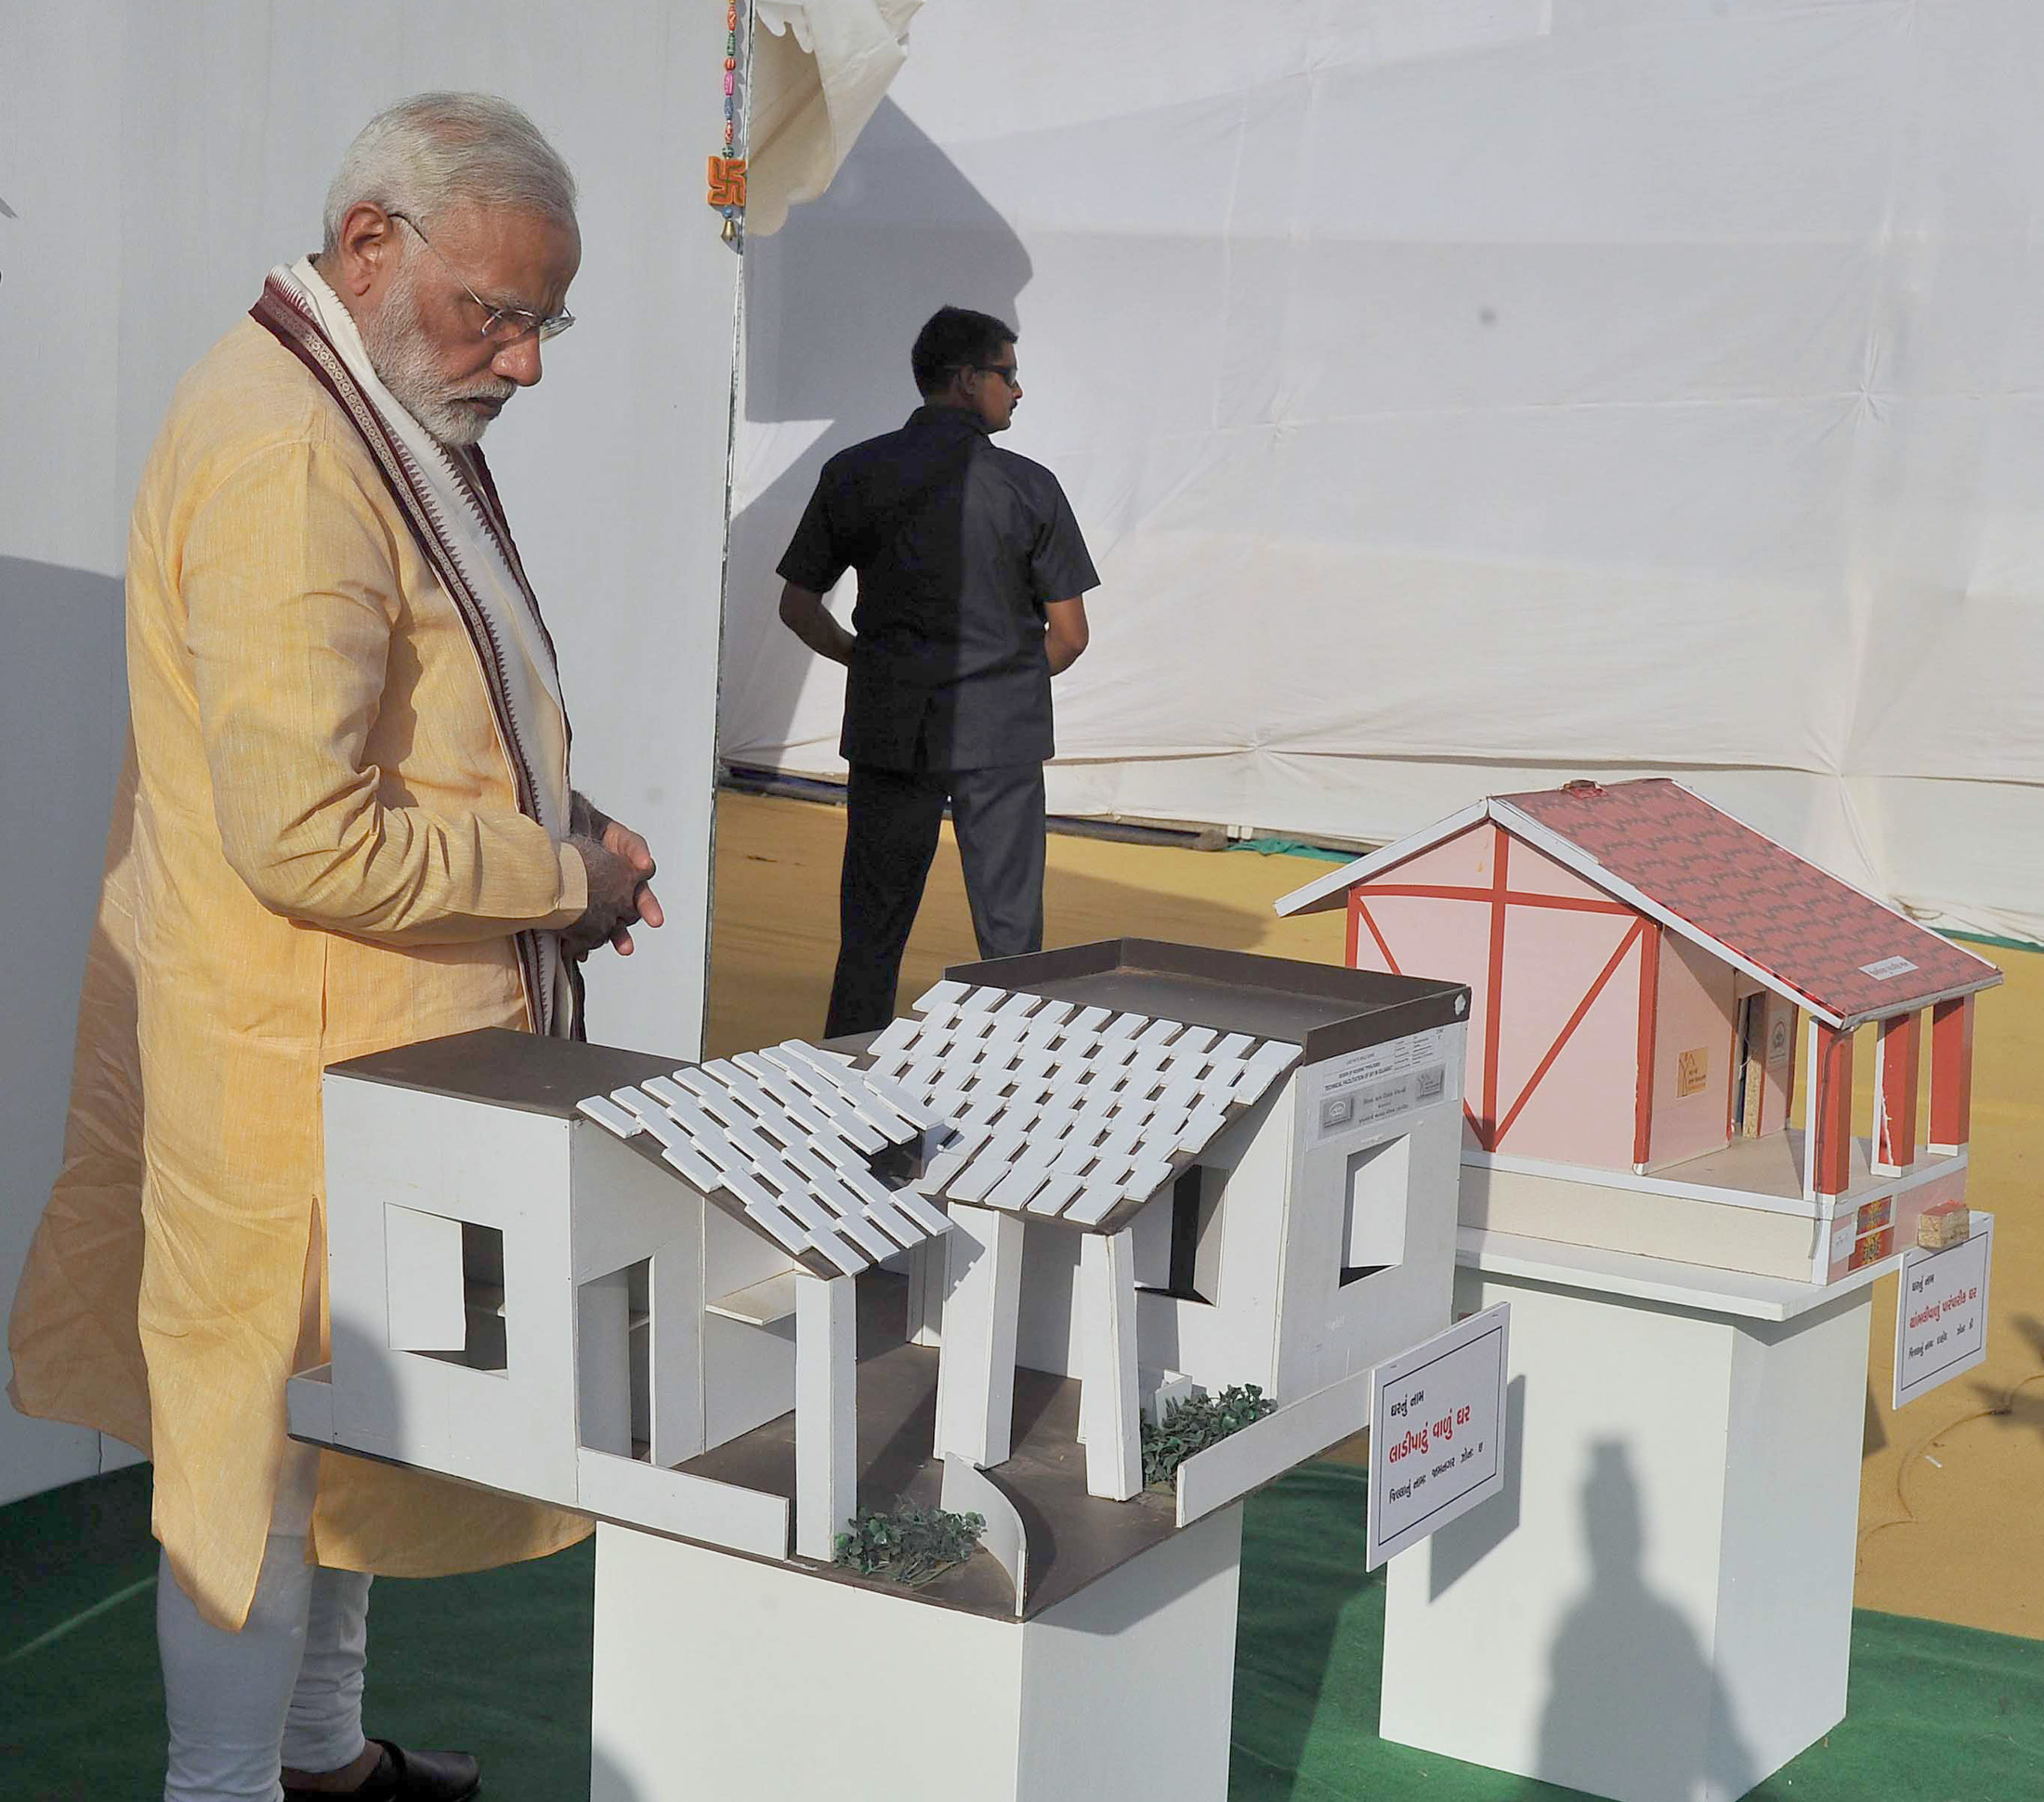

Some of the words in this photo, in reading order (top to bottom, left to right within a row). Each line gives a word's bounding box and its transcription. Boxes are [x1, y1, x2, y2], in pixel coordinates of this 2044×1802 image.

[1385, 1419, 1433, 1464] લાડીપાટું
[1432, 1403, 1456, 1443] વાળું
[1455, 1401, 1474, 1429] ઘર